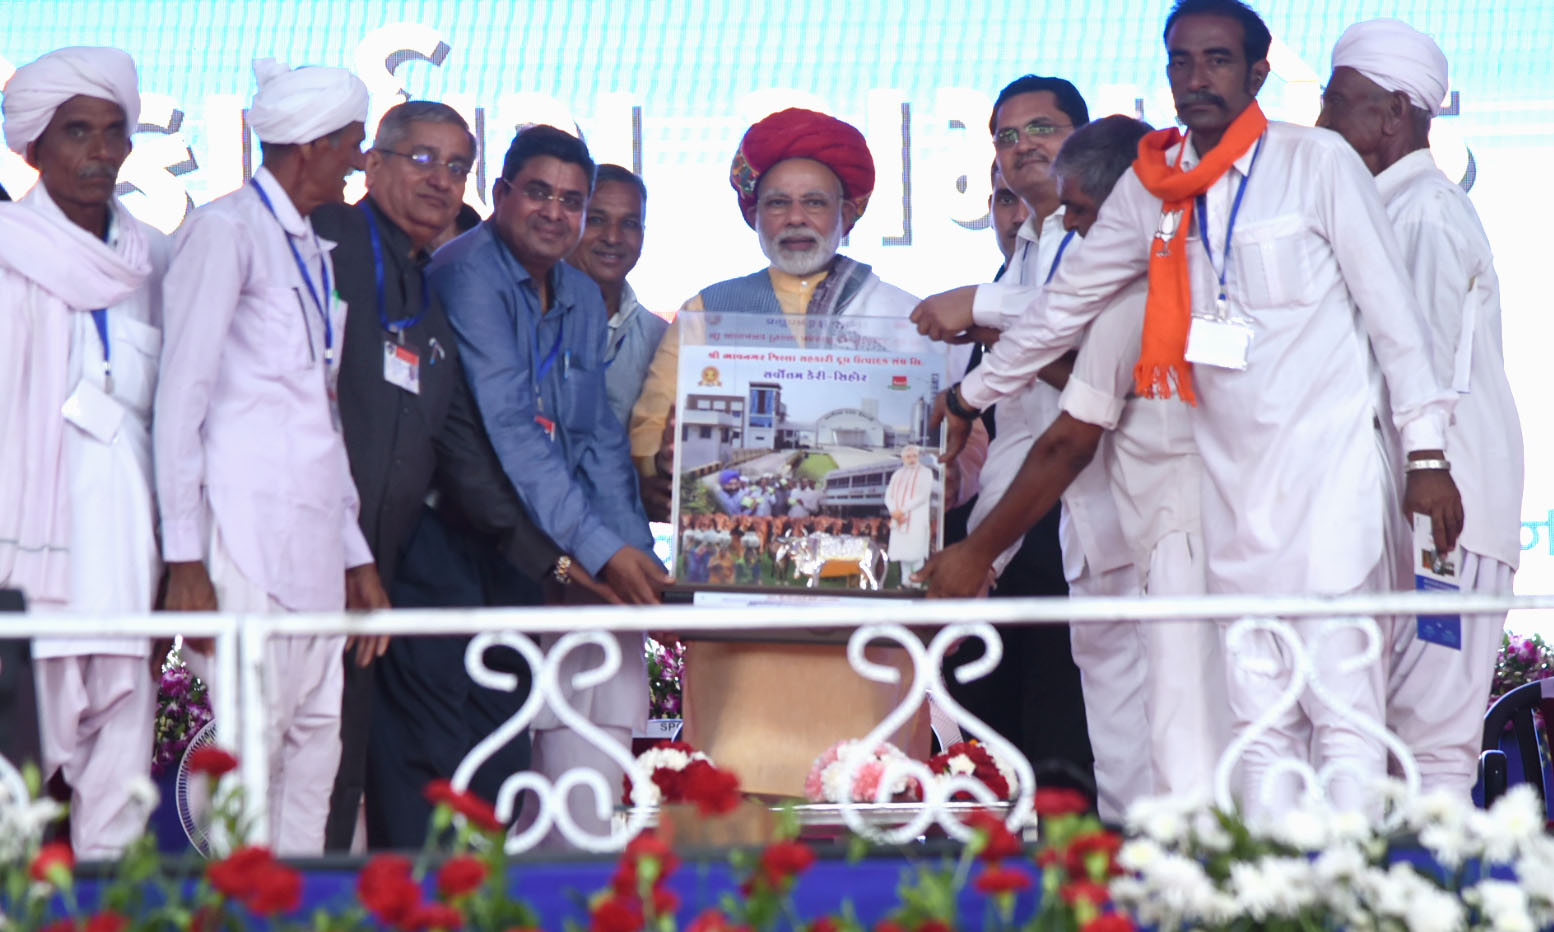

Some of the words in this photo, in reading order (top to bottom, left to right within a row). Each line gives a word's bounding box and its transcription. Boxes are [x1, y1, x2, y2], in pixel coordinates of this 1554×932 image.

[1520, 504, 1554, 564] ન